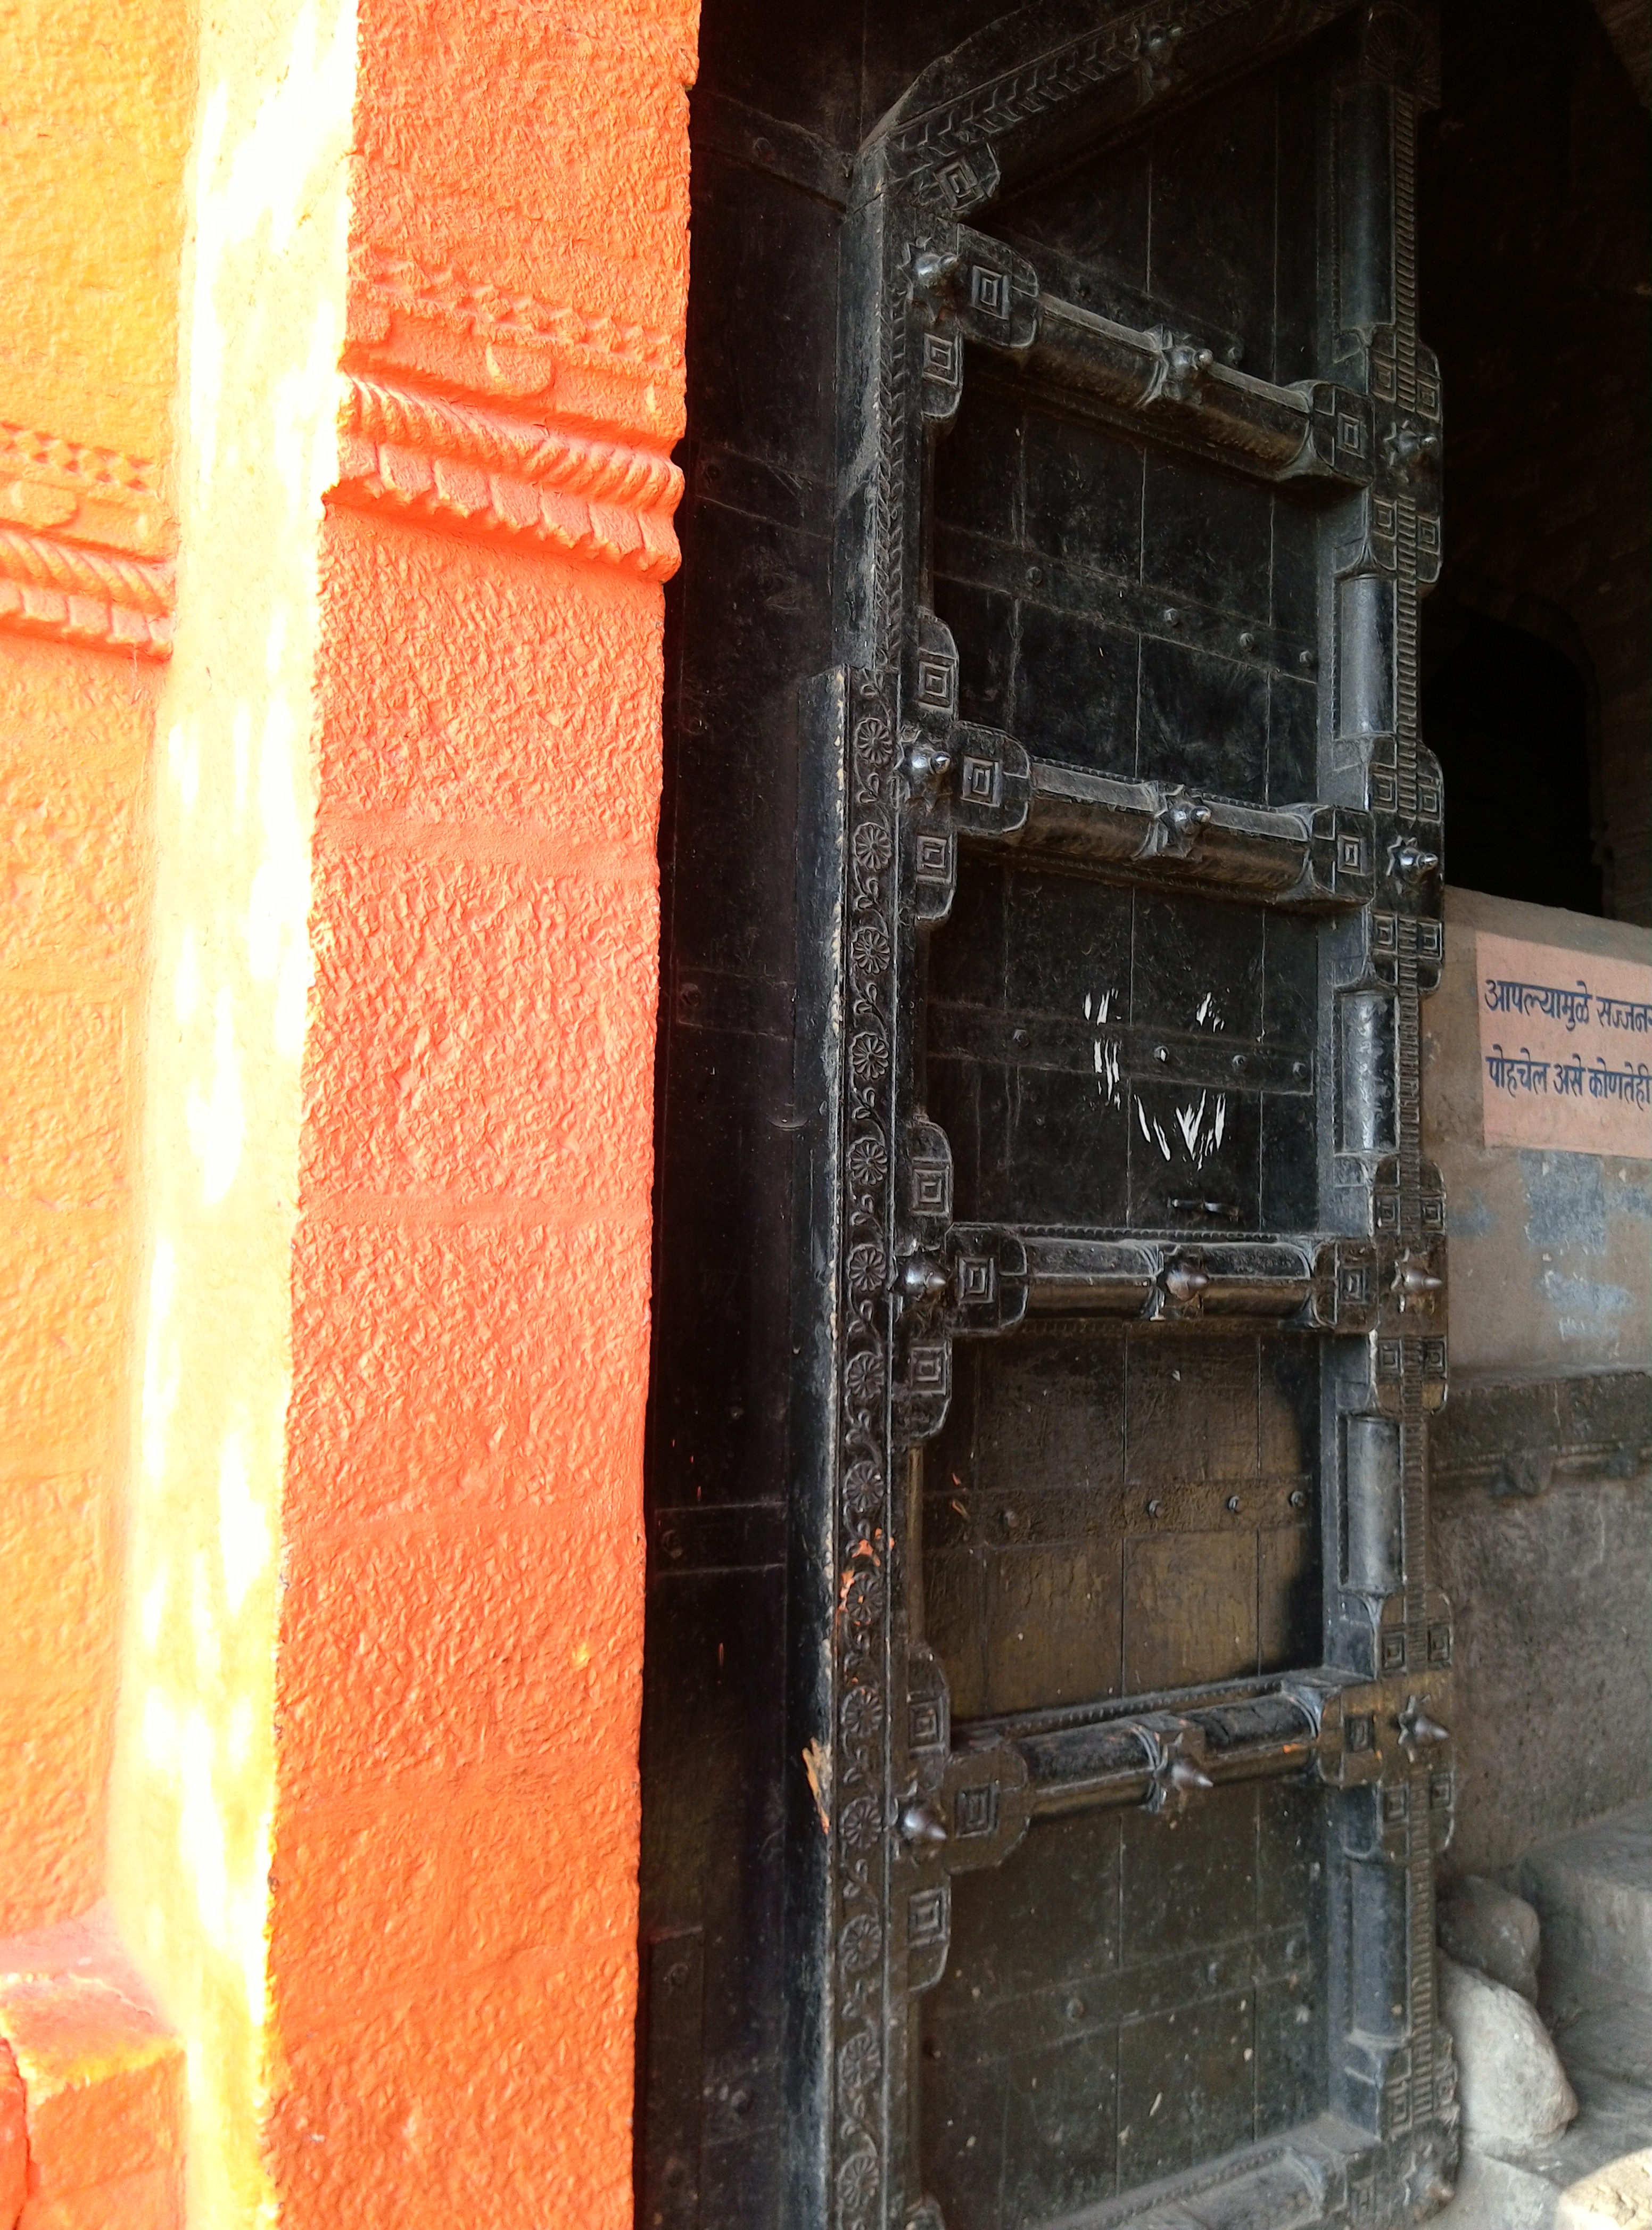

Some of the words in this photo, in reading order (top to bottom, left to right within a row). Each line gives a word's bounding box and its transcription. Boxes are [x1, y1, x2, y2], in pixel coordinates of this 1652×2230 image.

[1476, 971, 1595, 1035] आपल्यामुळे
[1593, 993, 1648, 1036] सज्‍जन
[1483, 1035, 1552, 1103] पोहचेल
[1549, 1048, 1587, 1102] असे
[1585, 1050, 1651, 1117] कोणतेही